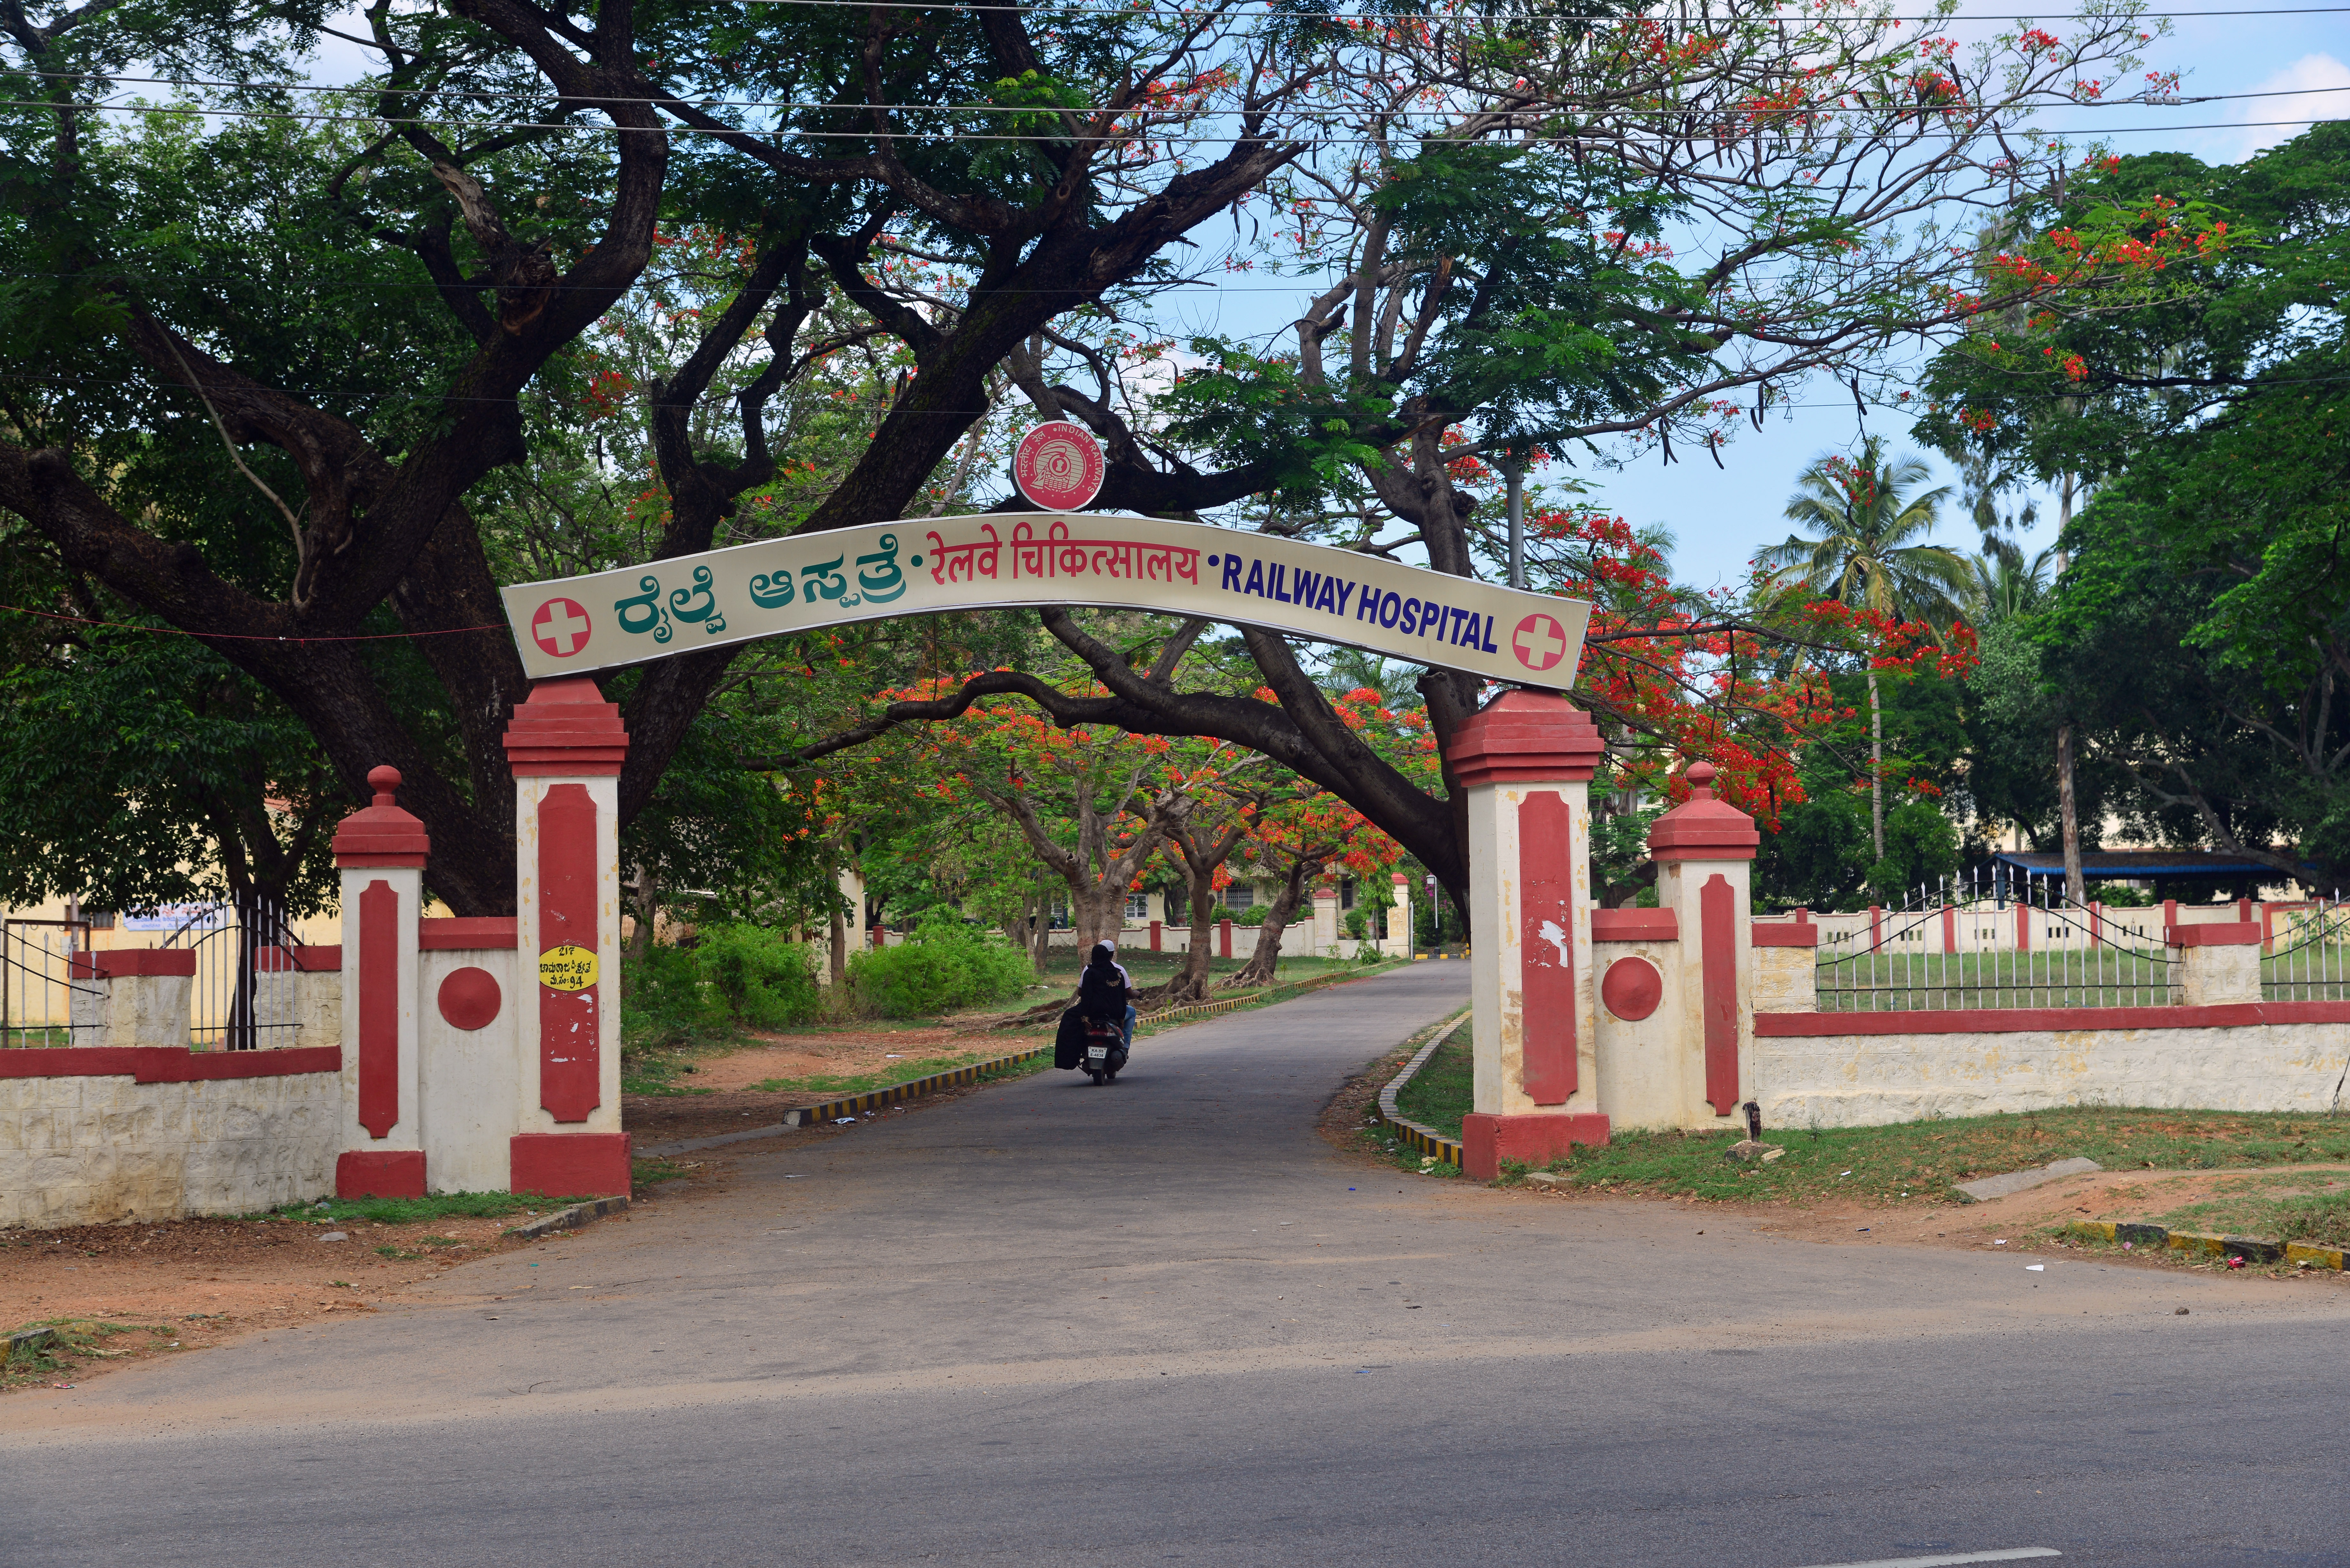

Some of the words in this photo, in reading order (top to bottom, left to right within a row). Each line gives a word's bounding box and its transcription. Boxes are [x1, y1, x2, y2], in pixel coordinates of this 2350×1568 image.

[1017, 442, 1034, 479] भरतीय
[1029, 429, 1047, 444] रेल
[1056, 424, 1092, 444] INDIAN
[1085, 443, 1103, 495] RAILWAYS
[609, 560, 729, 646] ರೈಲ್ವೆ
[744, 524, 911, 614] ಆಸ್ಪತ್ರೆ
[924, 517, 1003, 588] रेलवे
[1004, 516, 1201, 587] चिकित्सालय
[1219, 549, 1357, 619] RAILWAY
[1354, 581, 1500, 656] HOSPITAL
[546, 969, 585, 991] ಮ.ಸಂ:94
[538, 958, 594, 975] ಚಾಮರಾಜ ಕ್ಷೇತ್ರ